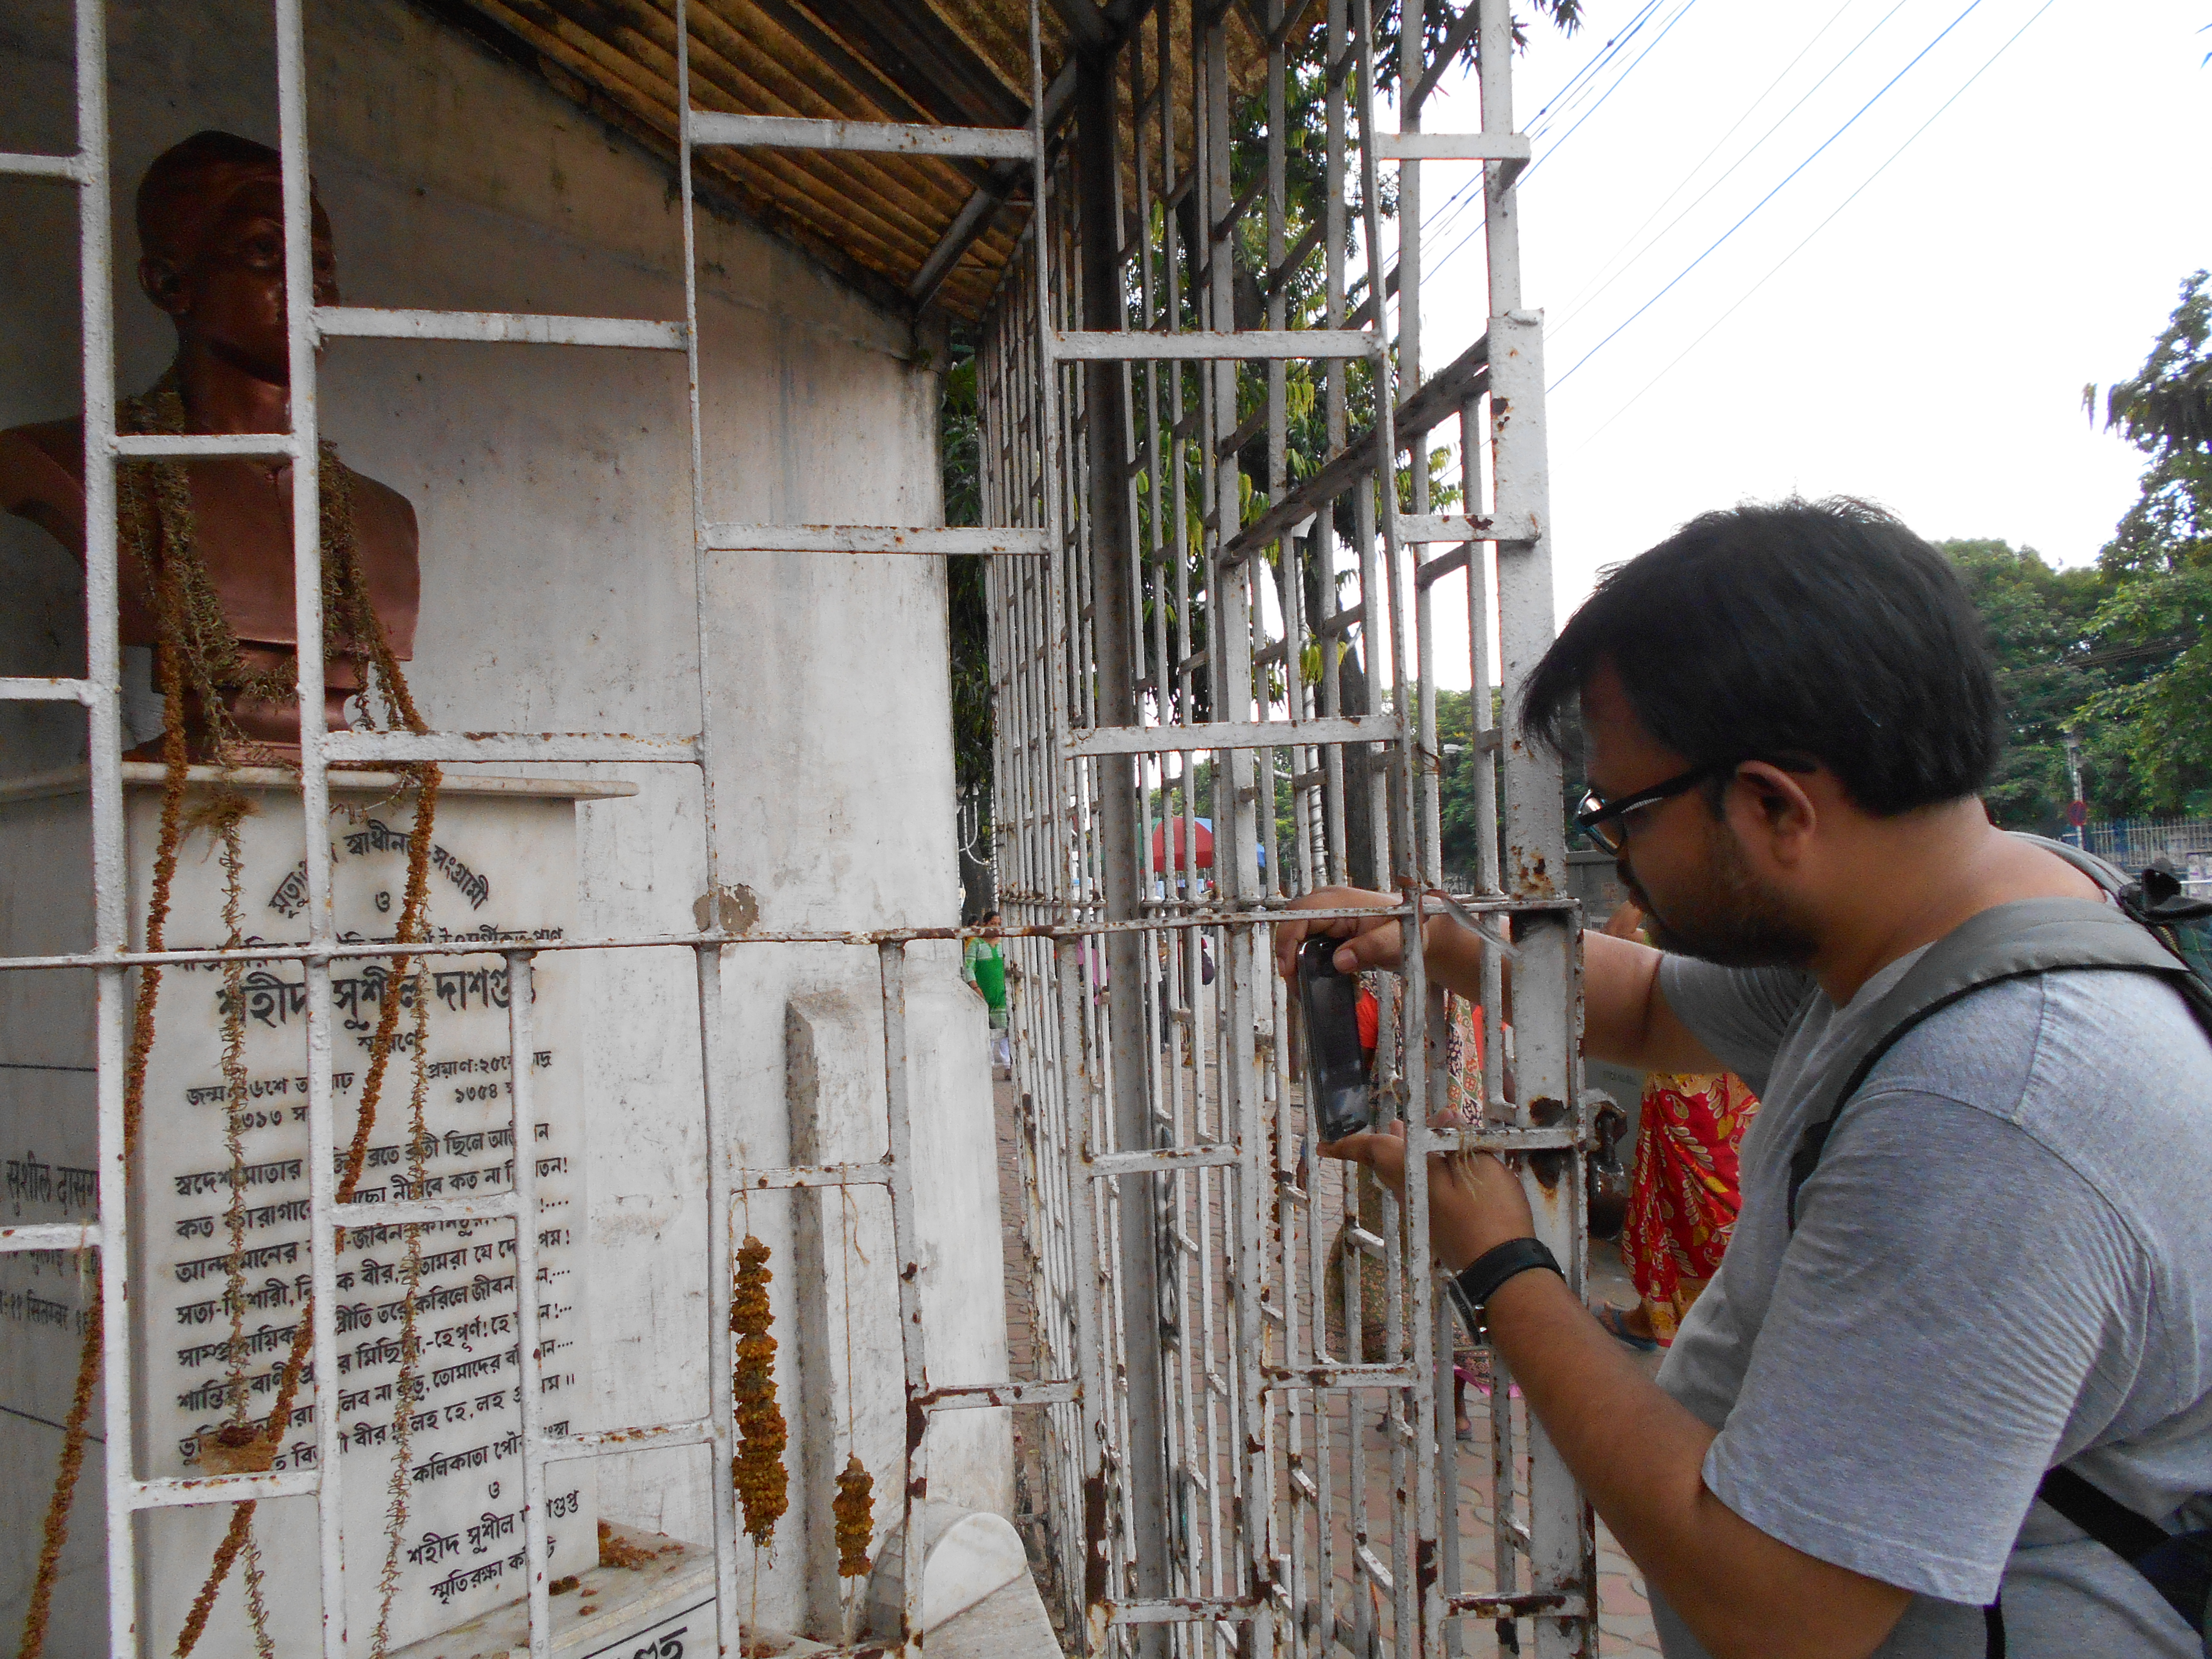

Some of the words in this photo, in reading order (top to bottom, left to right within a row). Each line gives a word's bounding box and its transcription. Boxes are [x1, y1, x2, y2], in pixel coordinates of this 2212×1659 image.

[337, 809, 428, 863] স্বাধীন
[263, 853, 317, 927] মৃত্যু
[424, 841, 495, 915] সংগ্রামী
[205, 962, 317, 1035] শহীদ
[426, 960, 513, 1019] দাশগু
[181, 1083, 231, 1112] জন্ম
[239, 1073, 289, 1100] ৬শে
[421, 1054, 483, 1084] প্রয়াণ:
[447, 1079, 504, 1110] ১৩৫৪
[359, 1136, 404, 1168] রতে
[438, 1122, 486, 1164] ছিলে
[3, 1140, 58, 1220] सुशील
[50, 1162, 106, 1218] दासग
[170, 1152, 307, 1203] স্বদেশ মাতার
[443, 1167, 483, 1197] কত
[480, 1160, 504, 1194] না
[15, 1282, 75, 1341] सितम्बर
[172, 1212, 219, 1245] কত
[172, 1297, 220, 1331] সত্য
[170, 1374, 230, 1418] শান্তি
[171, 1237, 303, 1289] আন্দস্মানের
[175, 1313, 299, 1373] সাম্প্রদায়িক
[214, 1272, 294, 1320] দিশারী
[245, 1355, 295, 1395] বাণী
[329, 1382, 371, 1418] লিব
[325, 1294, 377, 1338] গ্রীতি
[343, 1414, 390, 1456] বীর
[350, 1253, 400, 1297] বীর,
[344, 1218, 408, 1255] জীবন
[367, 1376, 396, 1406] না
[350, 1333, 431, 1373] মিছি
[373, 1275, 472, 1326] তরে করিলে
[404, 1398, 442, 1435] লহ
[406, 1245, 471, 1281] তামরা
[438, 1392, 471, 1428] হে
[430, 1312, 489, 1355] হে পূর্ণ !
[427, 1351, 502, 1390] তোমাদের
[466, 1237, 498, 1269] যে
[460, 1268, 518, 1306] জীবন
[468, 1386, 511, 1416] লহ
[481, 1307, 514, 1336] হে
[531, 1223, 567, 1251] পম
[406, 1442, 496, 1492] কলিকাতা
[536, 1485, 583, 1527] ৷গুপ্ত
[400, 1516, 468, 1573] শহীদ
[460, 1504, 518, 1558] সুশীল
[427, 1556, 506, 1610] স্মৃতিরক্ষা